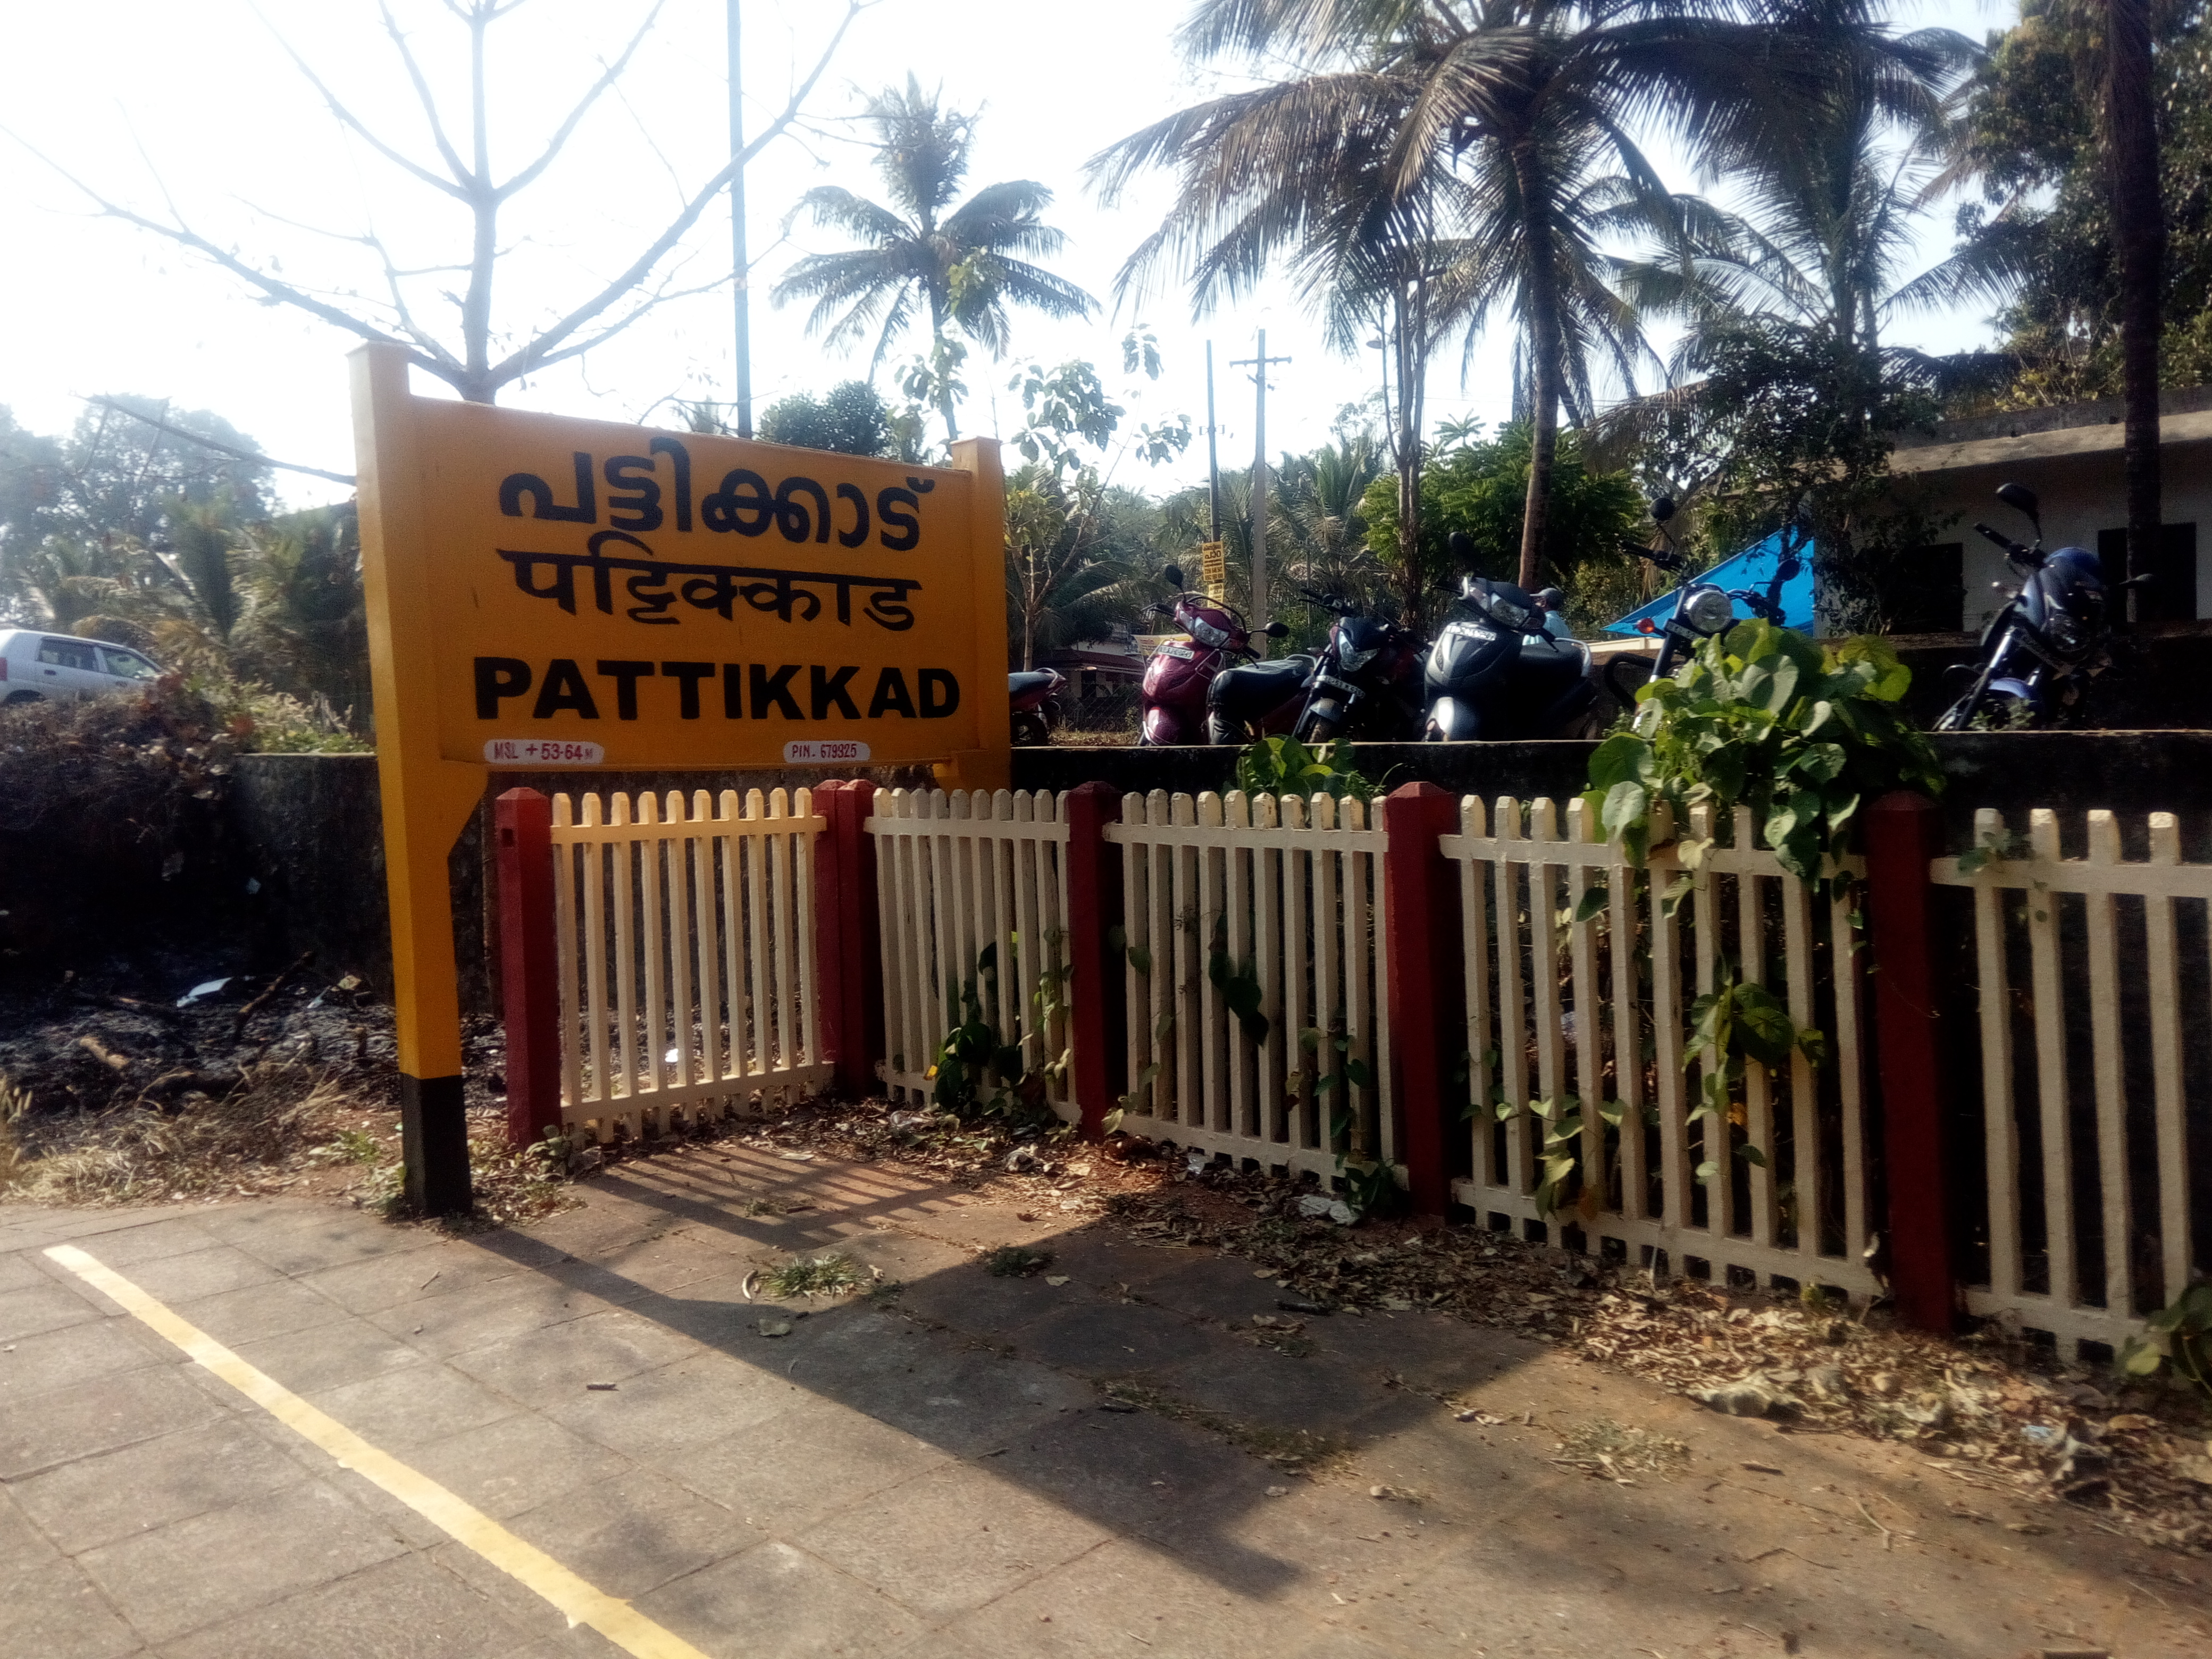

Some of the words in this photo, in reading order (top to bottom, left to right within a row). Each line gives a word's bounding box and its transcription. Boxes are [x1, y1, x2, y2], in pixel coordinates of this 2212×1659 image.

[492, 431, 938, 556] പട്ടിക്കാട്
[495, 524, 925, 636] पट्टिक्काड
[1201, 546, 1222, 561] പാഠ
[470, 651, 963, 723] PATTIKKAD
[487, 741, 597, 764] MSL+53-64M
[790, 740, 860, 765] PIN-679325